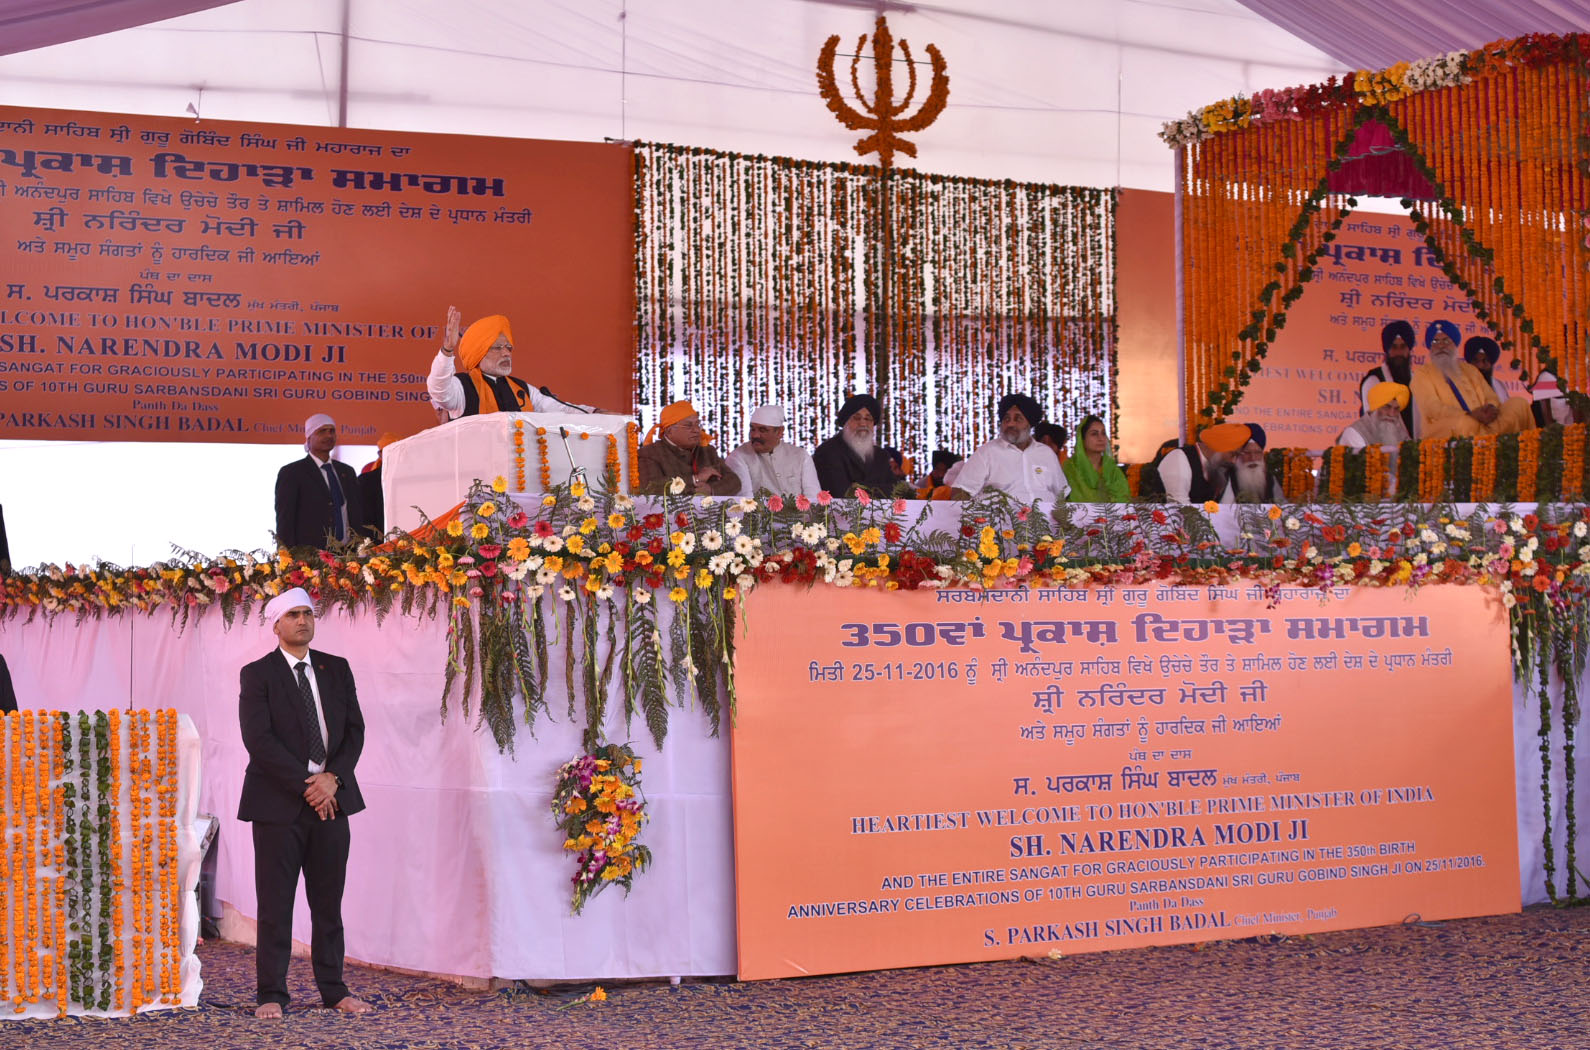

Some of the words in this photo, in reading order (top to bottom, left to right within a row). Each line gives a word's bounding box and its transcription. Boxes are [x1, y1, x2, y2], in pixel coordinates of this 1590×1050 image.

[9, 181, 83, 205] ਅਨੰਦਪੁਰ
[26, 203, 71, 235] ਸ਼੍ਰੀ
[0, 142, 137, 185] ਪ੍ਰਕਾਸ਼
[39, 117, 107, 141] ਸਾਹਿਬ
[83, 183, 139, 207] ਸਾਹਿਬ
[108, 119, 136, 149] ਸ੍ਰੀ
[77, 205, 189, 239] ਨਰਿੰਦਰ
[137, 125, 176, 149] ਗੁਰੂ
[140, 183, 177, 209] ਵਿਖੇ
[177, 183, 221, 213] ਉਚੇਚੇ
[177, 126, 235, 153] ਗੋਬਿੰਦ
[195, 212, 262, 244] ਮੋਦੀ
[142, 149, 319, 193] ਦਿਹਾੜਾ
[222, 185, 255, 213] ਤੌਰ
[236, 127, 281, 156] ਸਿੰਘ
[255, 190, 276, 213] ਤੇ
[265, 217, 307, 243] ਜੀ
[281, 132, 311, 155] ਜੀ
[272, 192, 329, 218] ਸ਼ਾਮਿਲ
[327, 191, 361, 220] ਹੋਣ
[313, 136, 386, 159] ਮਹਾਰਾਜ
[357, 198, 395, 221] ਲਈ
[388, 140, 413, 161] ਦਾ
[395, 196, 427, 223] ਦੇਸ਼
[325, 161, 513, 201] ਸਮਾਗਮ
[425, 200, 445, 225] ਦੇ
[444, 204, 491, 229] ਪ੍ਰਧਾਨ
[490, 204, 535, 233] ਮੰਤਰੀ
[1344, 218, 1386, 238] ਸਾਹਿਬ
[1385, 218, 1407, 242] ਸ੍ਰੀ
[9, 229, 52, 261] ਅਤੇ
[49, 237, 93, 265] ਸਮੂਹ
[94, 236, 146, 262] ਸੰਗਤਾਂ
[147, 237, 167, 270] ਨੂੰ
[167, 240, 235, 265] ਹਾਰਦਿਕ
[233, 244, 257, 265] ਜੀ
[258, 247, 325, 269] ਆਇਆਂ
[135, 263, 164, 285] ਪੰਥ
[163, 268, 186, 284] ਦਾ
[184, 269, 216, 286] ਦਾਸ
[2, 275, 37, 307] म॰
[40, 279, 123, 308] ਪਰਕਾਸ਼
[125, 278, 176, 308] ਸਿੰਘ
[179, 284, 246, 312] ਬਾਦਲ
[1334, 286, 1363, 311] ਸ਼੍ਰੀ
[1368, 289, 1437, 311] ਨਰਿੰਦਰ
[1, 330, 49, 359] SH.
[13, 305, 86, 329] COME
[85, 309, 120, 331] TO
[49, 333, 230, 361] NARENDRA
[119, 308, 225, 334] HON
[224, 314, 301, 335] PRIME
[232, 335, 318, 365] MODI
[318, 341, 351, 365] JI
[301, 317, 407, 343] MINISTER
[407, 317, 443, 346] OF
[1317, 343, 1344, 364] ਸ.
[8, 372, 36, 395] OF
[0, 359, 67, 375] SANGAT
[39, 377, 82, 399] 10TH
[67, 360, 106, 377] FOR
[80, 379, 131, 398] GURU
[103, 361, 214, 380] GRACIOUSLY
[131, 379, 249, 398] SARBANSDANI
[249, 383, 282, 399] SRI
[215, 363, 336, 385] PARTICIPATING
[279, 382, 330, 402] GURU
[336, 367, 355, 385] IN
[329, 386, 394, 403] GOBIND
[355, 367, 392, 386] THE
[391, 366, 428, 387] 350th
[391, 387, 432, 403] SING
[1313, 384, 1354, 407] SH.
[4, 409, 100, 432] ARKASH
[101, 411, 177, 433] SINGH
[173, 411, 252, 436] BADAL
[933, 581, 1033, 609] ਸਰਬਮਦਾਨੀ
[1034, 581, 1091, 606] ਸਾਹਿਬ
[1093, 582, 1118, 611] ਸूੀ
[1119, 583, 1153, 611] ਗੁਰੂ
[1153, 578, 1202, 609] ਗੋਬਿੰਦ
[1201, 580, 1243, 607] ਸਿਘ
[1243, 578, 1267, 605] ਜੀ
[1330, 583, 1354, 606] ਦਾ
[835, 617, 937, 651] 350
[935, 607, 989, 655] ਵਾਂ
[990, 615, 1120, 656] ਪ੍ਰਕਾਸ਼
[1126, 605, 1275, 651] ਦਿਹਾੜਾ
[1279, 607, 1434, 647] ਸਮਾਗਮ
[803, 657, 847, 687] ਮਿਤੀ
[847, 655, 963, 682] 25-11-2016
[961, 653, 983, 690] ਨੂੰ
[988, 653, 1011, 689] ਸ੍ਰੀ
[1013, 654, 1076, 682] ਅਨੰਦਪੁਰ
[1076, 651, 1123, 681] ਸਾਹਿਬ
[1123, 649, 1157, 680] ਵਿਖੇ
[1156, 651, 1197, 681] ਉਚੇਚੇ
[1195, 649, 1226, 679] ਤੌਰ
[1221, 649, 1239, 676] ਤੇ
[1238, 650, 1286, 675] ਸ਼ਾਮਿਲ
[1285, 646, 1311, 673] ਹੋਣ
[1307, 648, 1341, 674] ਲਈ
[1341, 643, 1365, 673] ਦੇਸ਼
[1363, 645, 1381, 674] ਦੇ
[1380, 649, 1417, 677] ਪ੍ਰਧਾਨ
[1417, 646, 1456, 667] ਮੰਤਰੀ
[1029, 681, 1066, 718] ਸ਼੍ਰੀ
[1074, 680, 1171, 714] ਨਰਿੰਦਰ
[1175, 678, 1232, 709] ਮੋਦੀ
[1234, 675, 1269, 706] ਜੀ
[1014, 718, 1049, 746] ਅਤੇ
[1049, 719, 1089, 745] ਸਮੂਹ
[1090, 715, 1134, 742] ਸੰਗਤਾਂ
[1134, 713, 1152, 748] ਨੂੰ
[1151, 712, 1208, 740] ਹਾਰਦਿਕ
[1207, 710, 1230, 737] ਜੀ
[1229, 709, 1286, 735] ਆਇਆਂ
[1125, 747, 1149, 764] ਪੰਥ
[1149, 747, 1169, 762] ਦਾ
[1167, 747, 1195, 761] ਦਾਸ
[782, 894, 904, 921] ANNIVERSARY
[877, 869, 917, 895] AND
[847, 805, 974, 838] HEARTIEST
[915, 866, 952, 891] THE
[901, 883, 1023, 912] CELEBRATIONS
[951, 863, 1010, 889] ENTIRE
[1005, 768, 1041, 802] म॰
[970, 802, 1083, 833] WELCOME
[1005, 828, 1055, 862] SH.
[1022, 883, 1046, 905] OF
[1007, 861, 1070, 883] SANGAT
[1043, 879, 1084, 902] 10TH
[1040, 769, 1116, 797] ਪਰਕਾਸ਼
[1070, 858, 1105, 878] FOR
[1081, 800, 1116, 826] TO
[1083, 879, 1130, 899] GURU
[1055, 824, 1210, 862] NARENDRA
[1119, 763, 1161, 792] ਸਿੰਘ
[1104, 853, 1199, 876] GRACIOUSLY
[1114, 794, 1206, 825] HON
[1128, 871, 1231, 897] SARBANSDANI
[1160, 762, 1221, 793] ਬਾਦਲ
[1203, 792, 1269, 821] PRIME
[1231, 870, 1258, 891] SRI
[1209, 815, 1284, 850] MODI
[1198, 846, 1301, 870] PARTICIPATING
[1255, 866, 1297, 887] GURU
[1283, 815, 1313, 845] JI
[1300, 843, 1318, 864] IN
[1266, 785, 1358, 813] MINISTER
[1296, 859, 1351, 883] GOBIND
[1317, 842, 1346, 862] THE
[1344, 838, 1380, 858] 350th
[1349, 858, 1391, 880] SINGH
[1358, 784, 1387, 807] OF
[1390, 858, 1403, 879] JI
[1375, 834, 1421, 858] BIRTH
[1384, 783, 1438, 806] INDIA
[1403, 854, 1424, 876] ON
[1422, 852, 1489, 874] 25/11/2016.
[979, 922, 1005, 951] S.
[1002, 915, 1104, 949] PARKASH
[1103, 912, 1166, 943] SINGH
[1165, 907, 1233, 935] BADAL